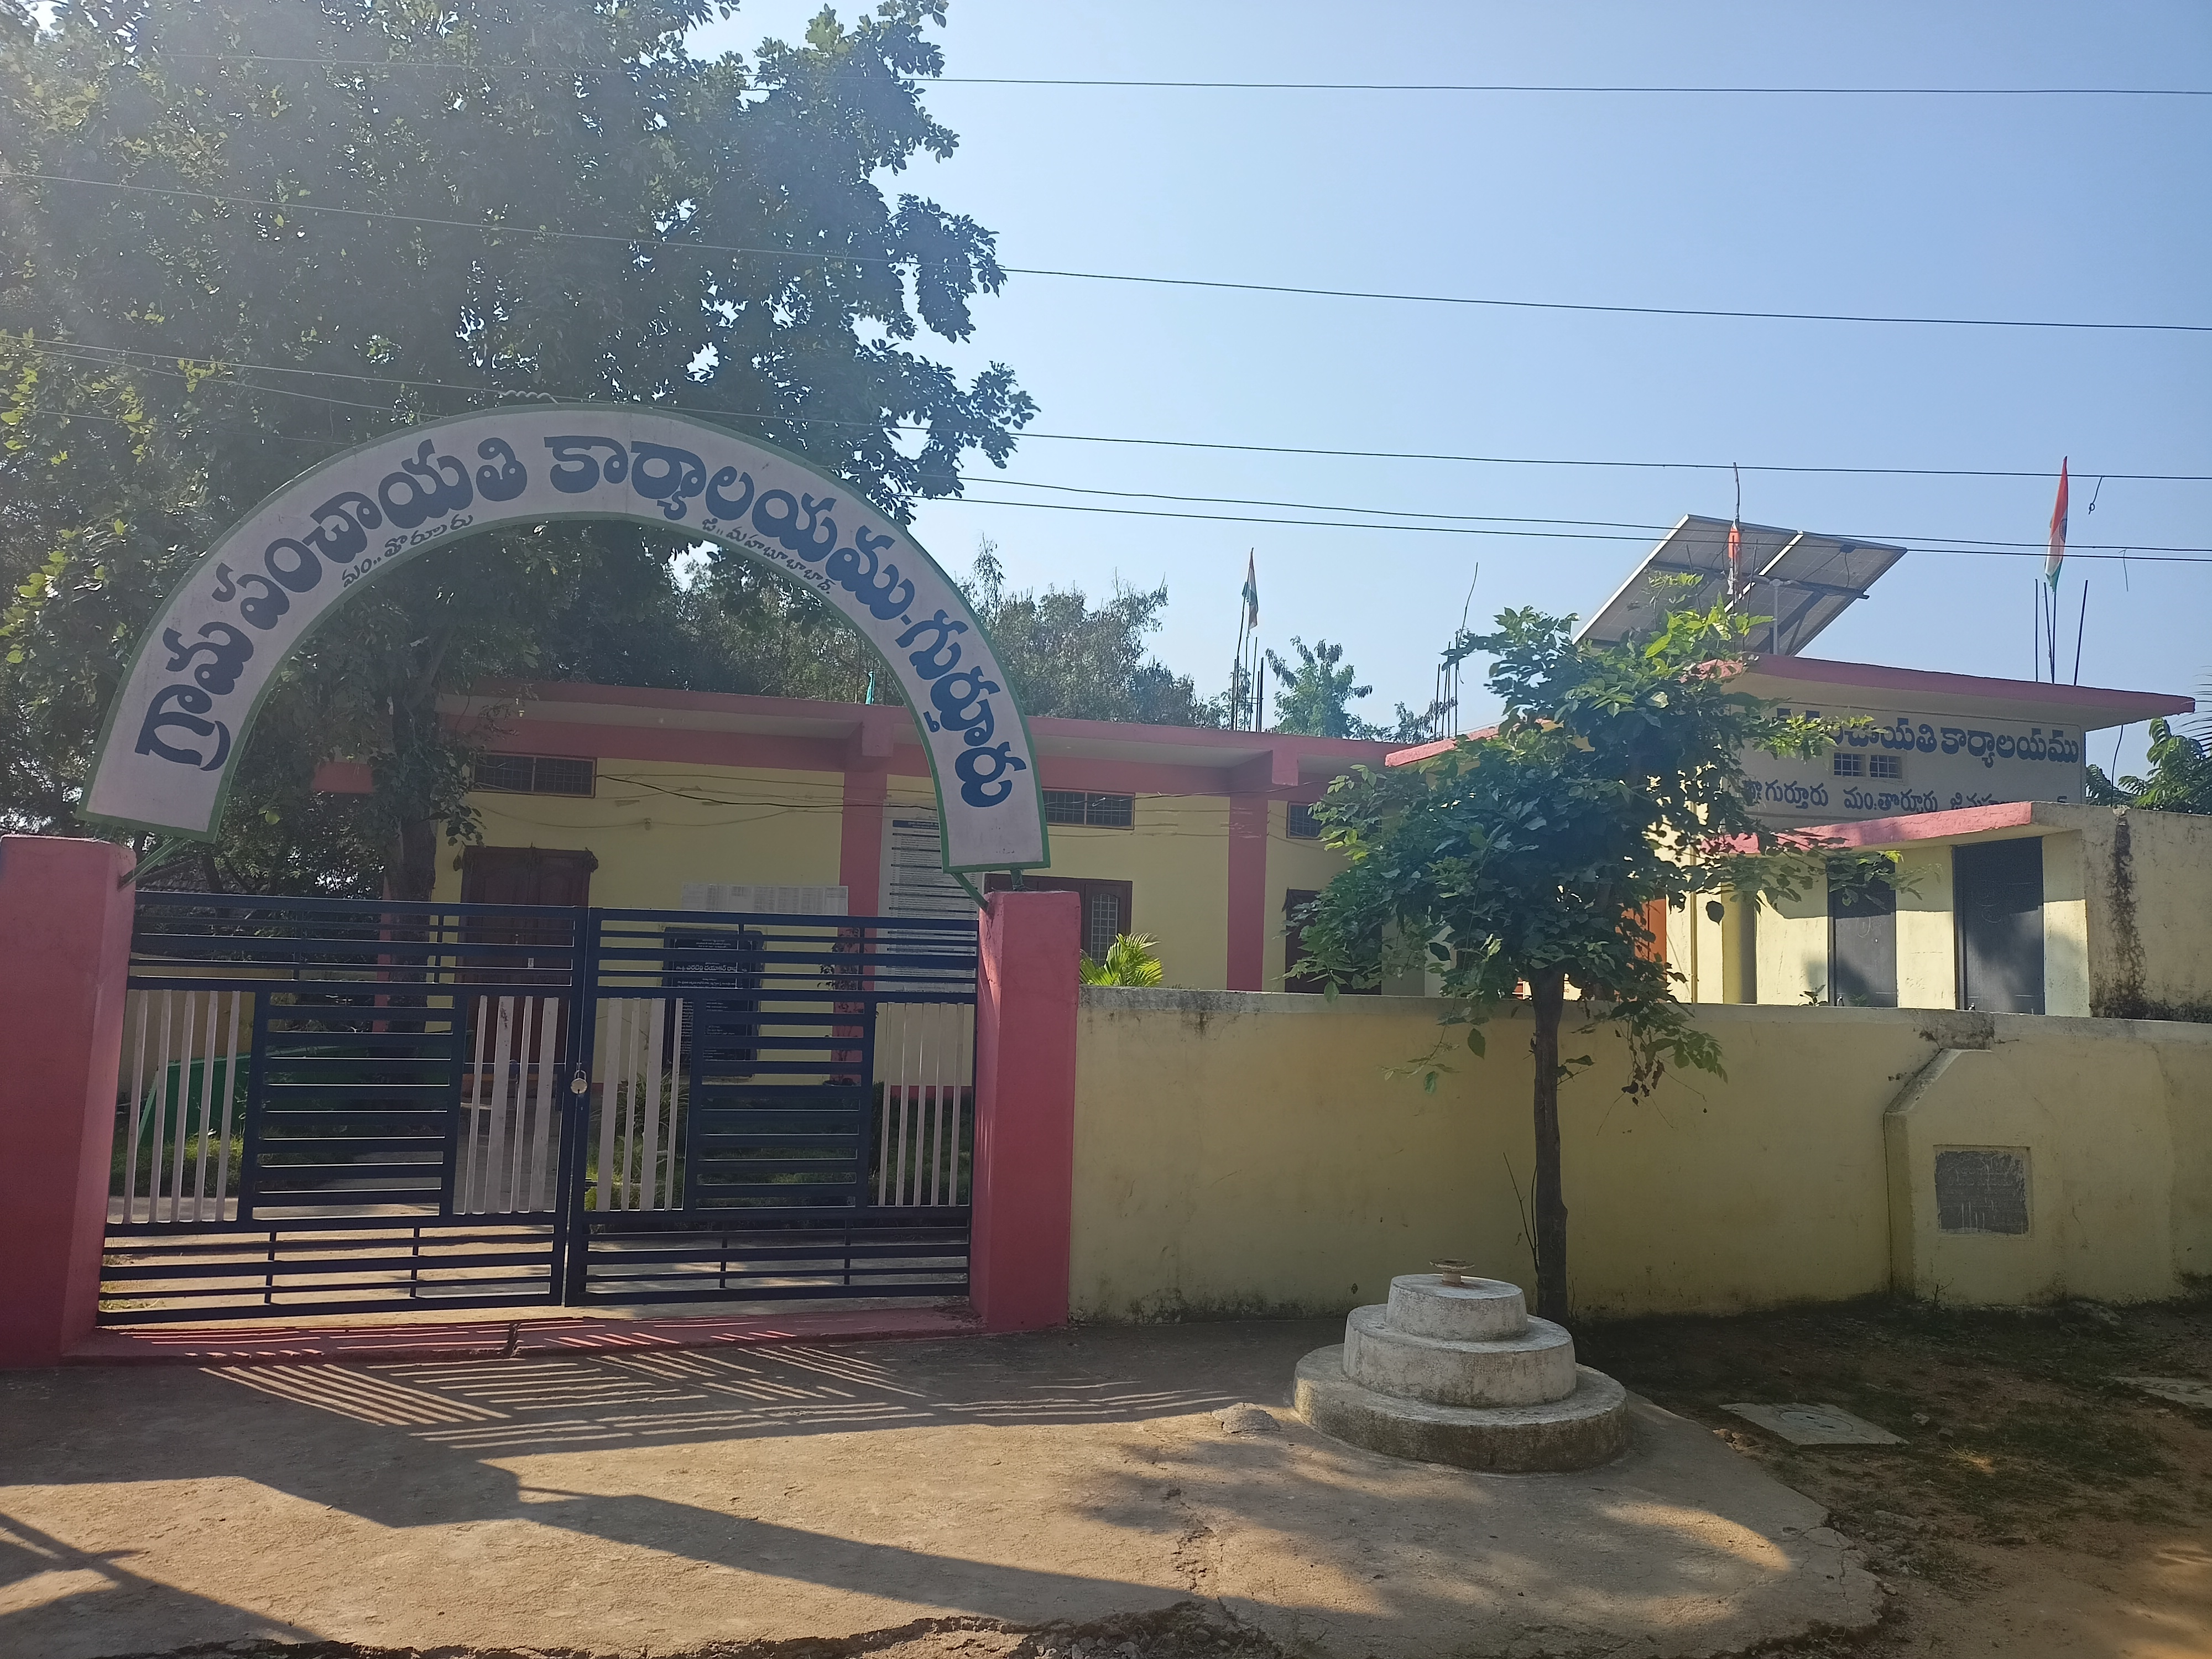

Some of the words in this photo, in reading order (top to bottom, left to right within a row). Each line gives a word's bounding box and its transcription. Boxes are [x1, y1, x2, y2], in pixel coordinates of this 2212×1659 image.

[205, 432, 531, 638] పంచాయతి
[333, 507, 477, 592] మం.. తొరూలరు.
[545, 427, 922, 622] కార్యాలయము
[124, 613, 259, 775] గ్రామ
[891, 602, 1033, 813] గుర్తూరు
[1771, 703, 1939, 756] చాయతి
[1939, 725, 2081, 770] కార్యాలయమ
[1741, 777, 1833, 810] గుర్తూరు
[1840, 782, 1943, 816] మం.తొర్చూరు